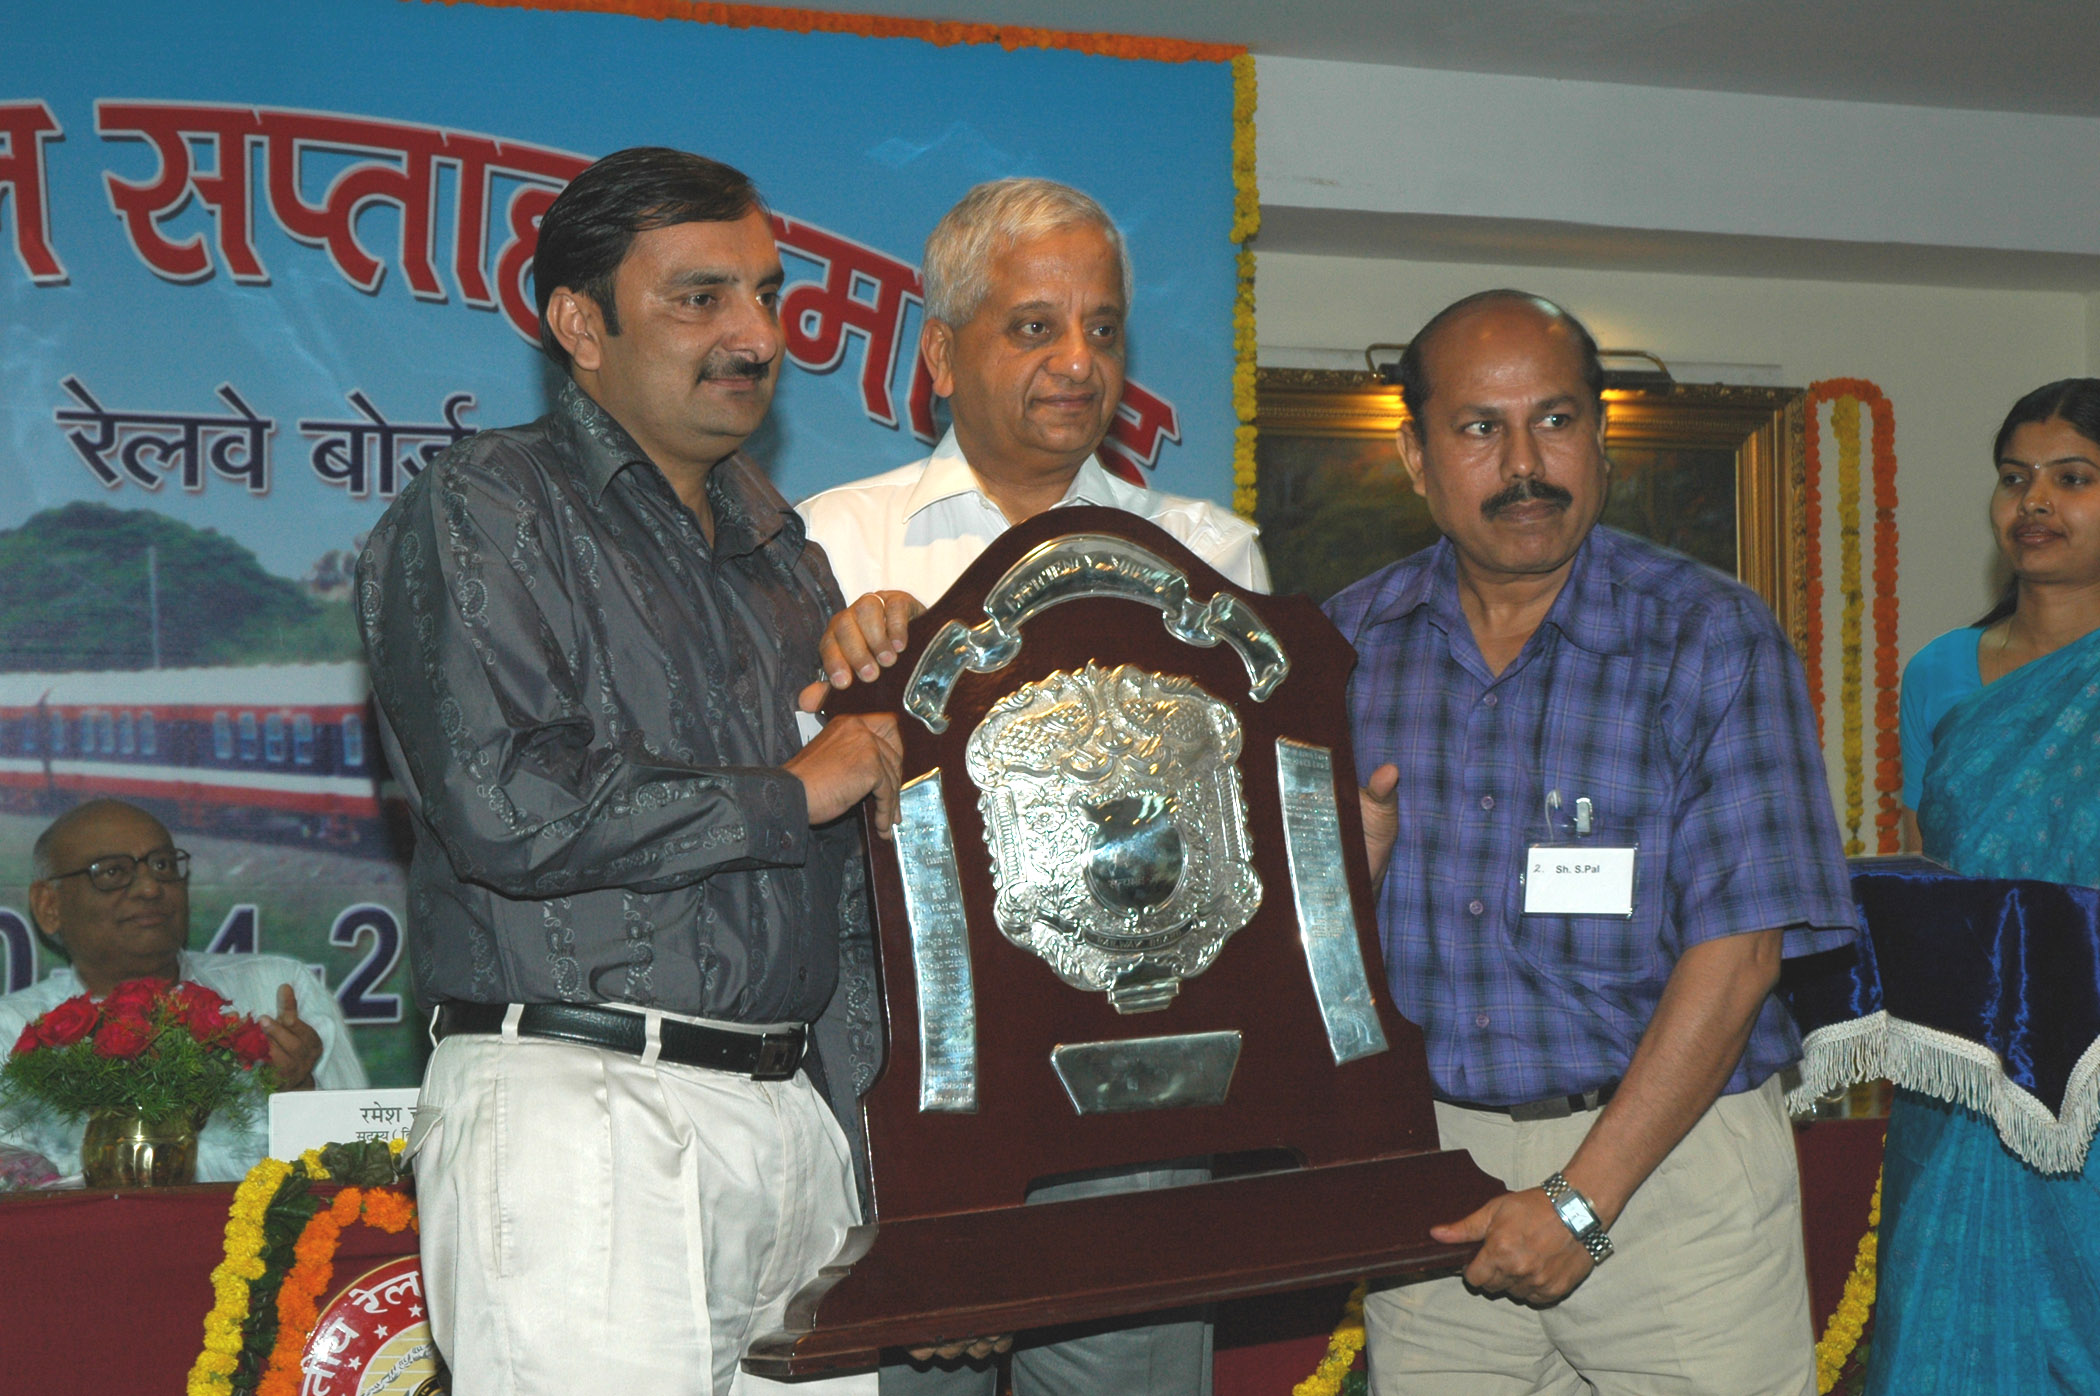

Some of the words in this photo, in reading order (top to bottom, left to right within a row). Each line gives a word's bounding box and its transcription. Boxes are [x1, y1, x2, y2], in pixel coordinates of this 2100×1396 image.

[90, 91, 585, 355] सप्ता
[774, 213, 921, 423] म
[56, 376, 273, 491] रेलवे
[300, 389, 479, 494] बो